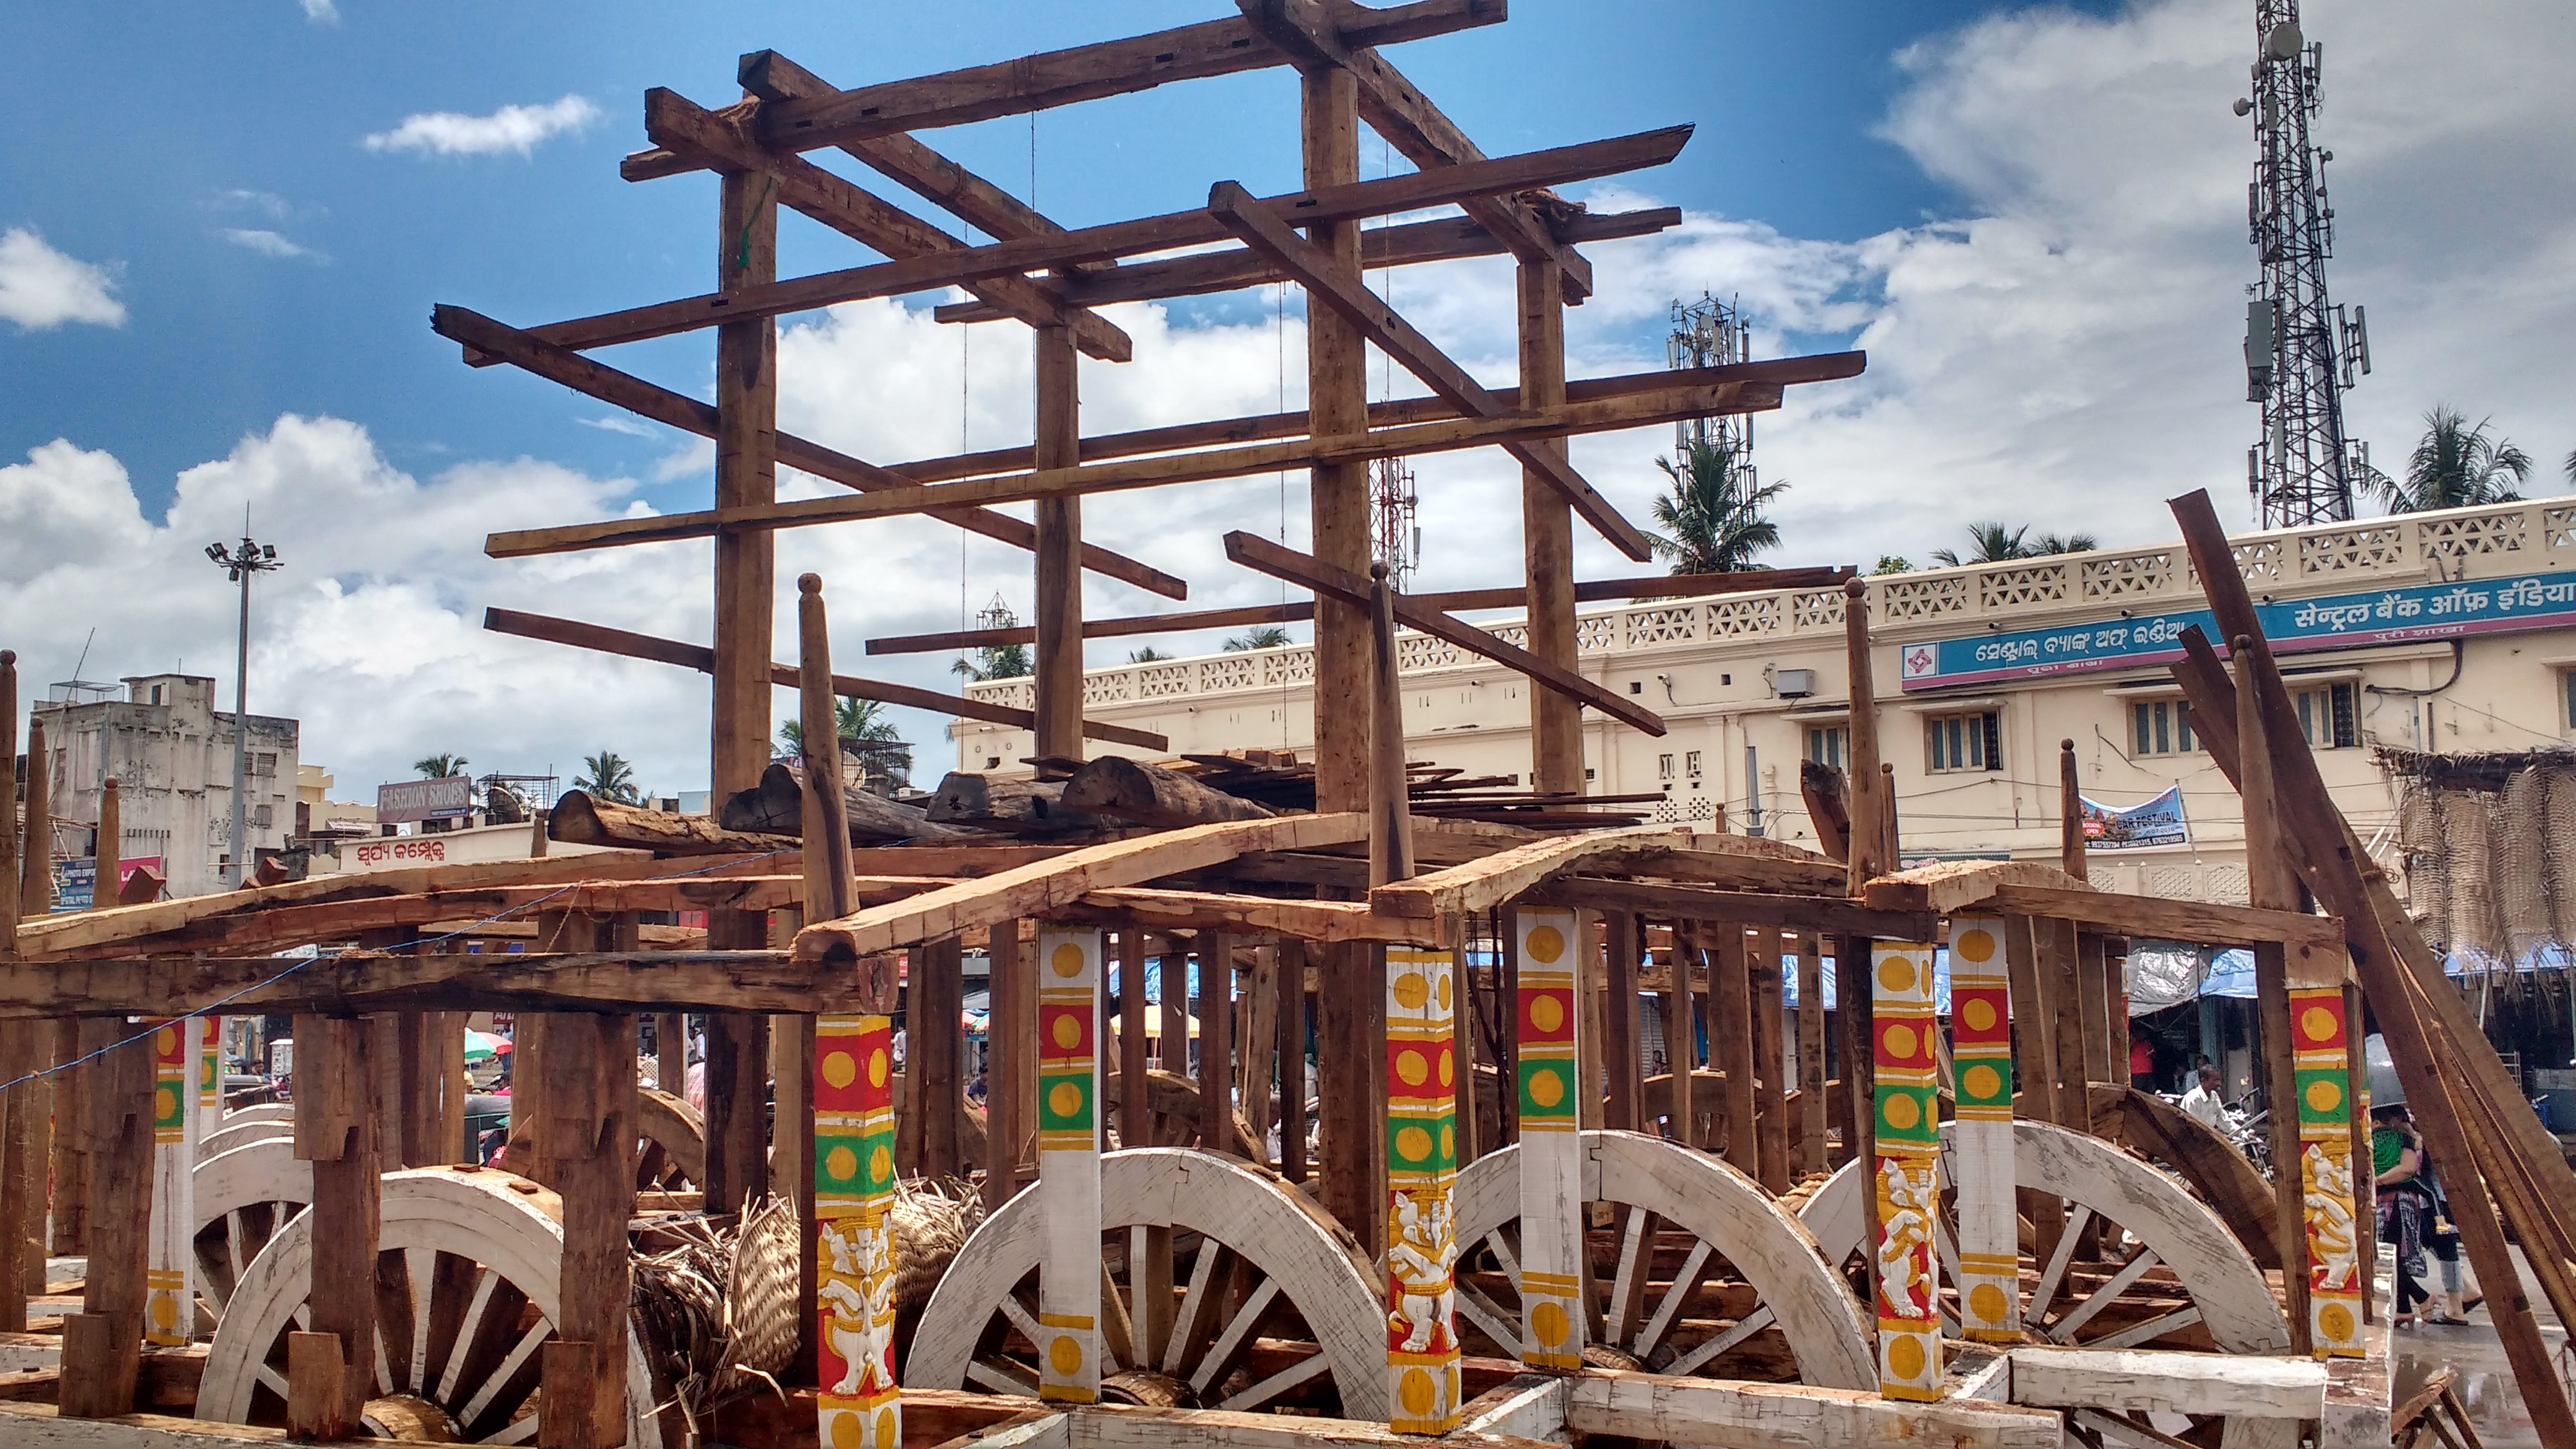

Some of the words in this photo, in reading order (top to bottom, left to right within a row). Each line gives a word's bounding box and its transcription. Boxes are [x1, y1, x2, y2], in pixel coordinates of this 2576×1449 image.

[2291, 594, 2373, 633] सेन्ट्रल
[2371, 590, 2426, 622] बैंक
[2423, 583, 2492, 620] ऑफ़
[2492, 574, 2574, 615] इंडिया
[1972, 637, 2042, 664] ସେଣ୍ଟ୍ରାଲ୍
[2022, 659, 2060, 679] ପୁରୀ
[2041, 627, 2094, 656] ବ୍ୟାଙ୍କ୍
[2066, 655, 2104, 672] ଶାଖା
[2093, 622, 2132, 651] ଅଫ୍
[2130, 615, 2187, 648] ଇଣ୍ଡିଆ
[2372, 624, 2408, 648] पुरी
[2411, 622, 2466, 641] शाखा
[377, 782, 432, 811] FASHION
[425, 776, 470, 811] SHOES
[349, 837, 393, 868] ସୂର୍ଯ୍ୟ
[392, 838, 448, 865] କମ୍ପ୍ଲେକ୍ସ